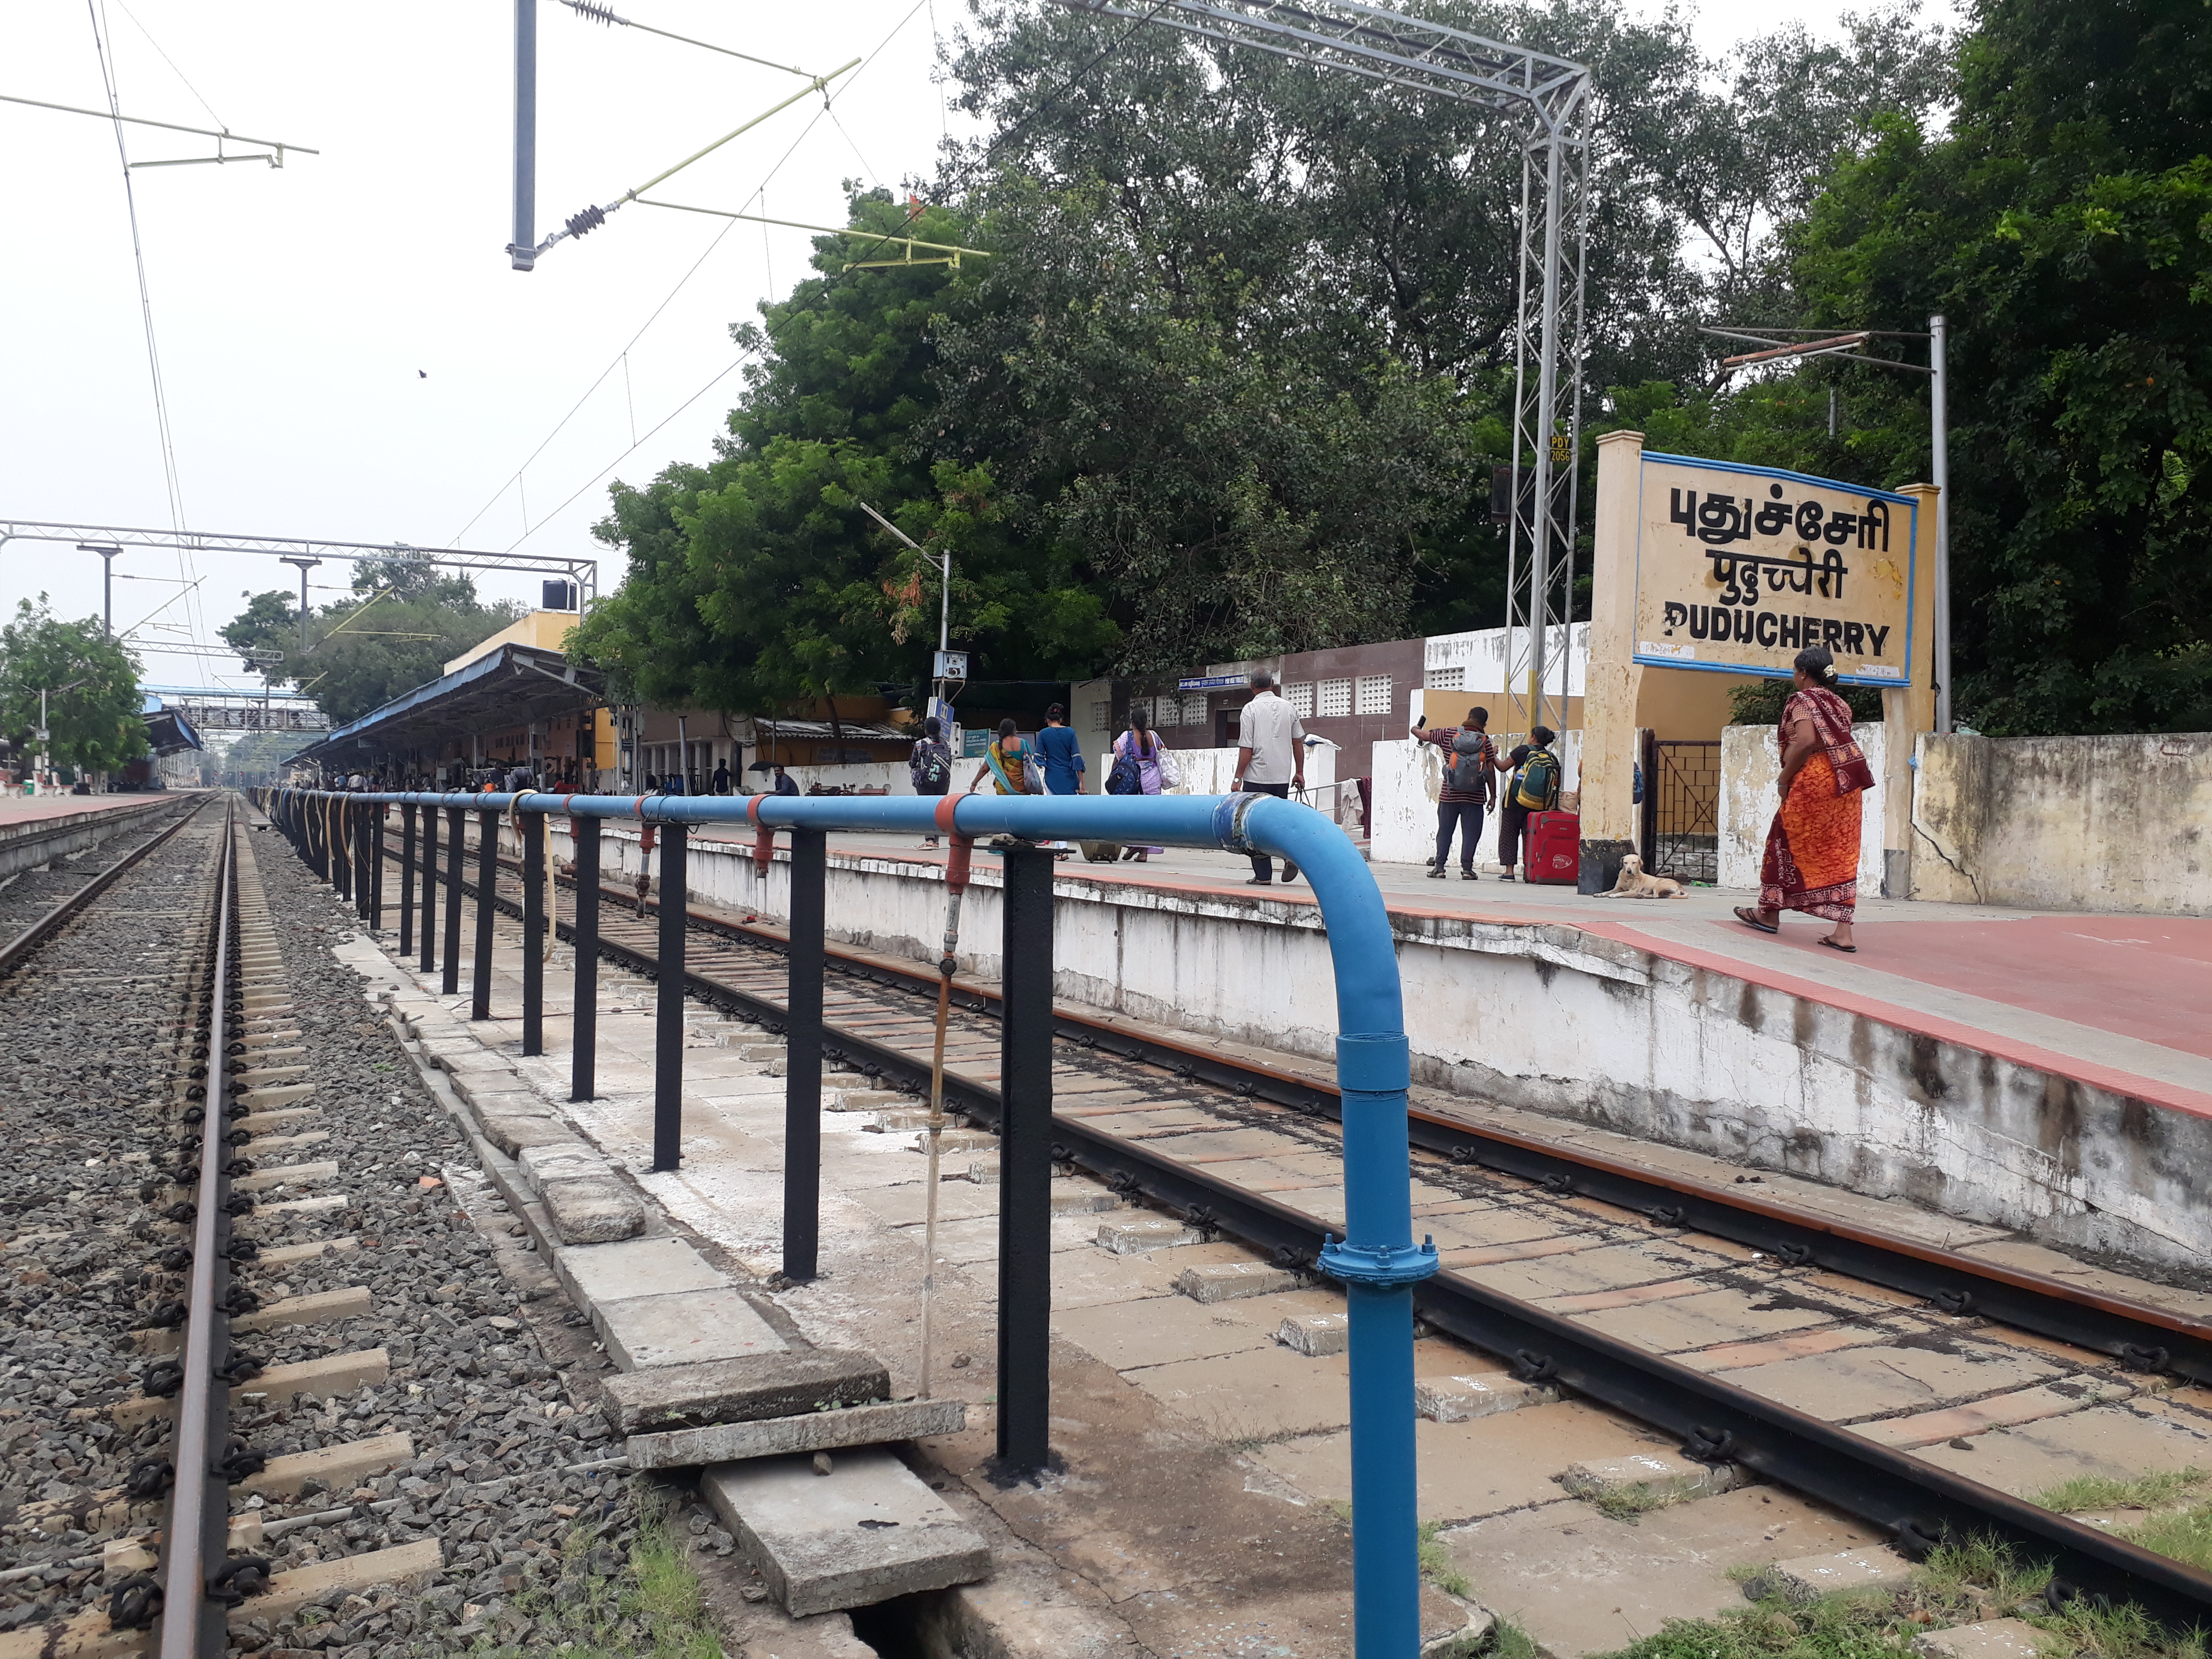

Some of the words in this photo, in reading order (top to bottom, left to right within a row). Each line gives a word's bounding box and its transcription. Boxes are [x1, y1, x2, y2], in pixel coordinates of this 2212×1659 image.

[1666, 480, 1894, 556] புதுச்சோி
[1703, 544, 1851, 610] पुदुच्चेरी
[1661, 598, 1891, 659] PUDUCHERRY